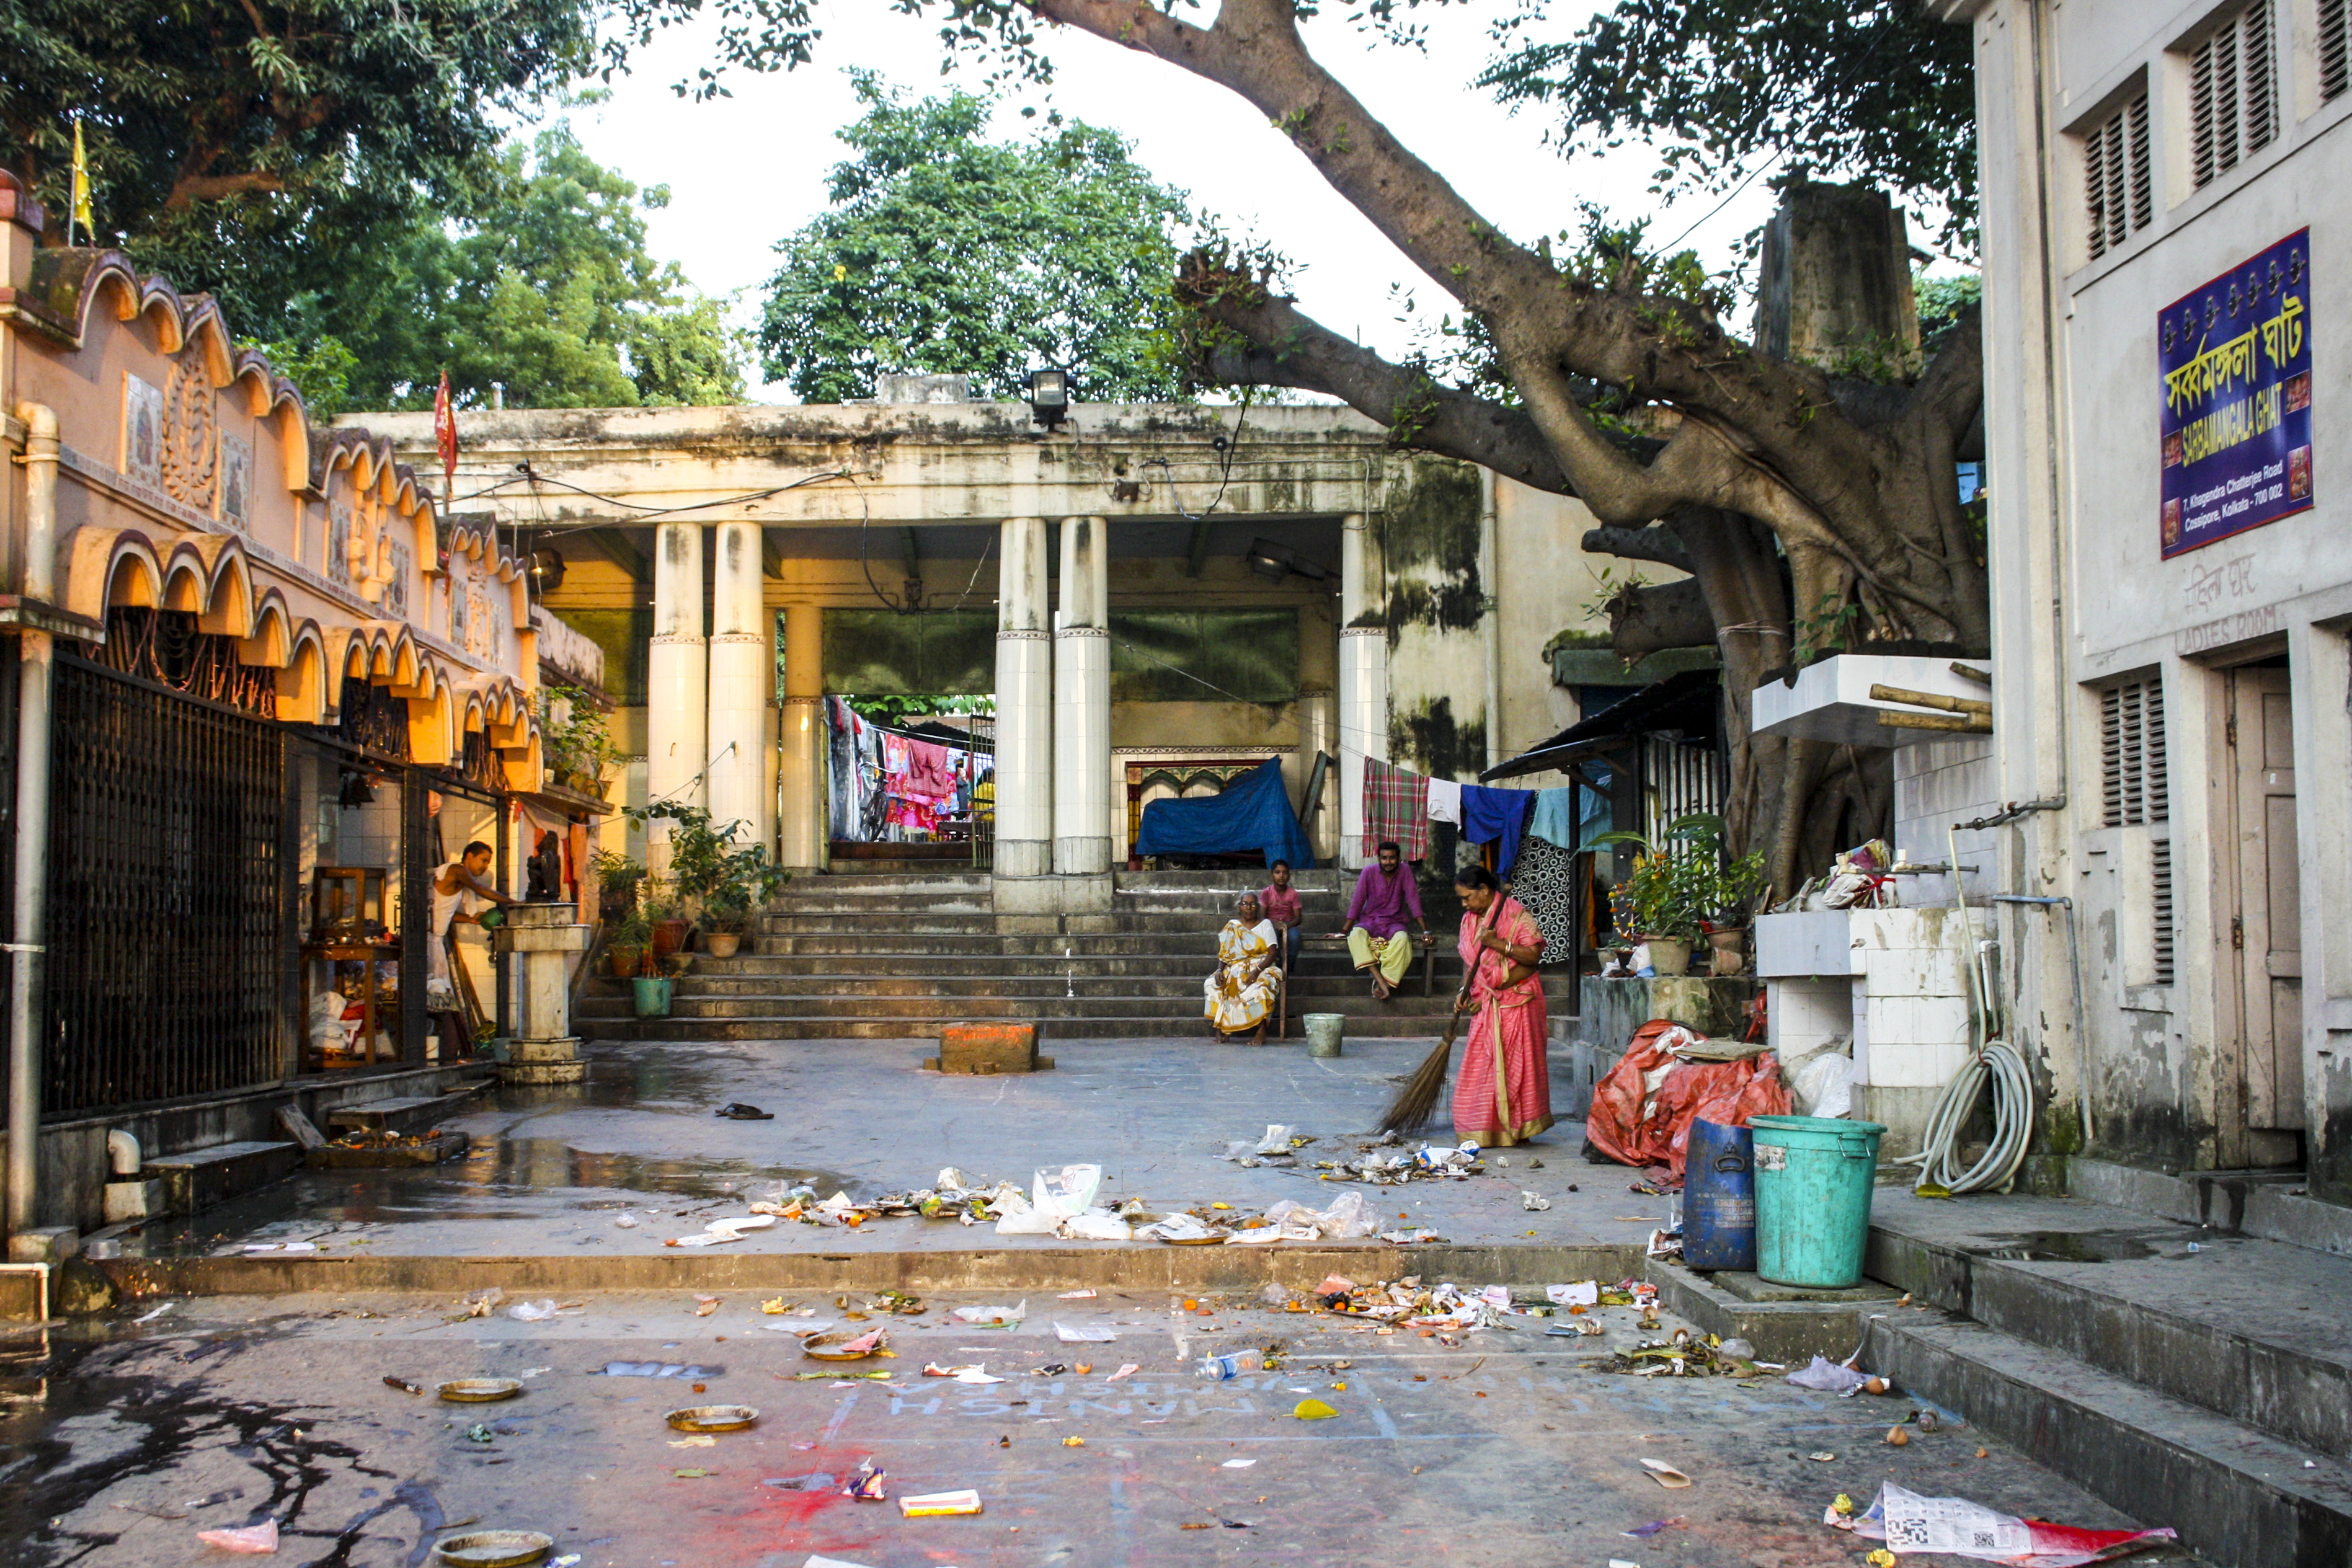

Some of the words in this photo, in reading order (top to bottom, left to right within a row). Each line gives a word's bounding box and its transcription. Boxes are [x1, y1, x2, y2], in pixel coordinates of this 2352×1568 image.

[2252, 290, 2306, 373] ঘাট
[2157, 321, 2262, 423] সর্ব্বমঙ্গলা
[2175, 379, 2287, 476] SARBAMANGALA GHAT
[2179, 507, 2224, 534] Cossipore,
[2178, 479, 2229, 513] 7,Khagendra
[2221, 464, 2264, 500] Chatterjee
[2216, 479, 2288, 521] Kolkata-700002
[2261, 458, 2286, 481] Road
[2168, 552, 2236, 621] महिला
[2214, 551, 2261, 609] घर
[2165, 615, 2240, 665] LADIES
[2229, 596, 2291, 646] ROOM